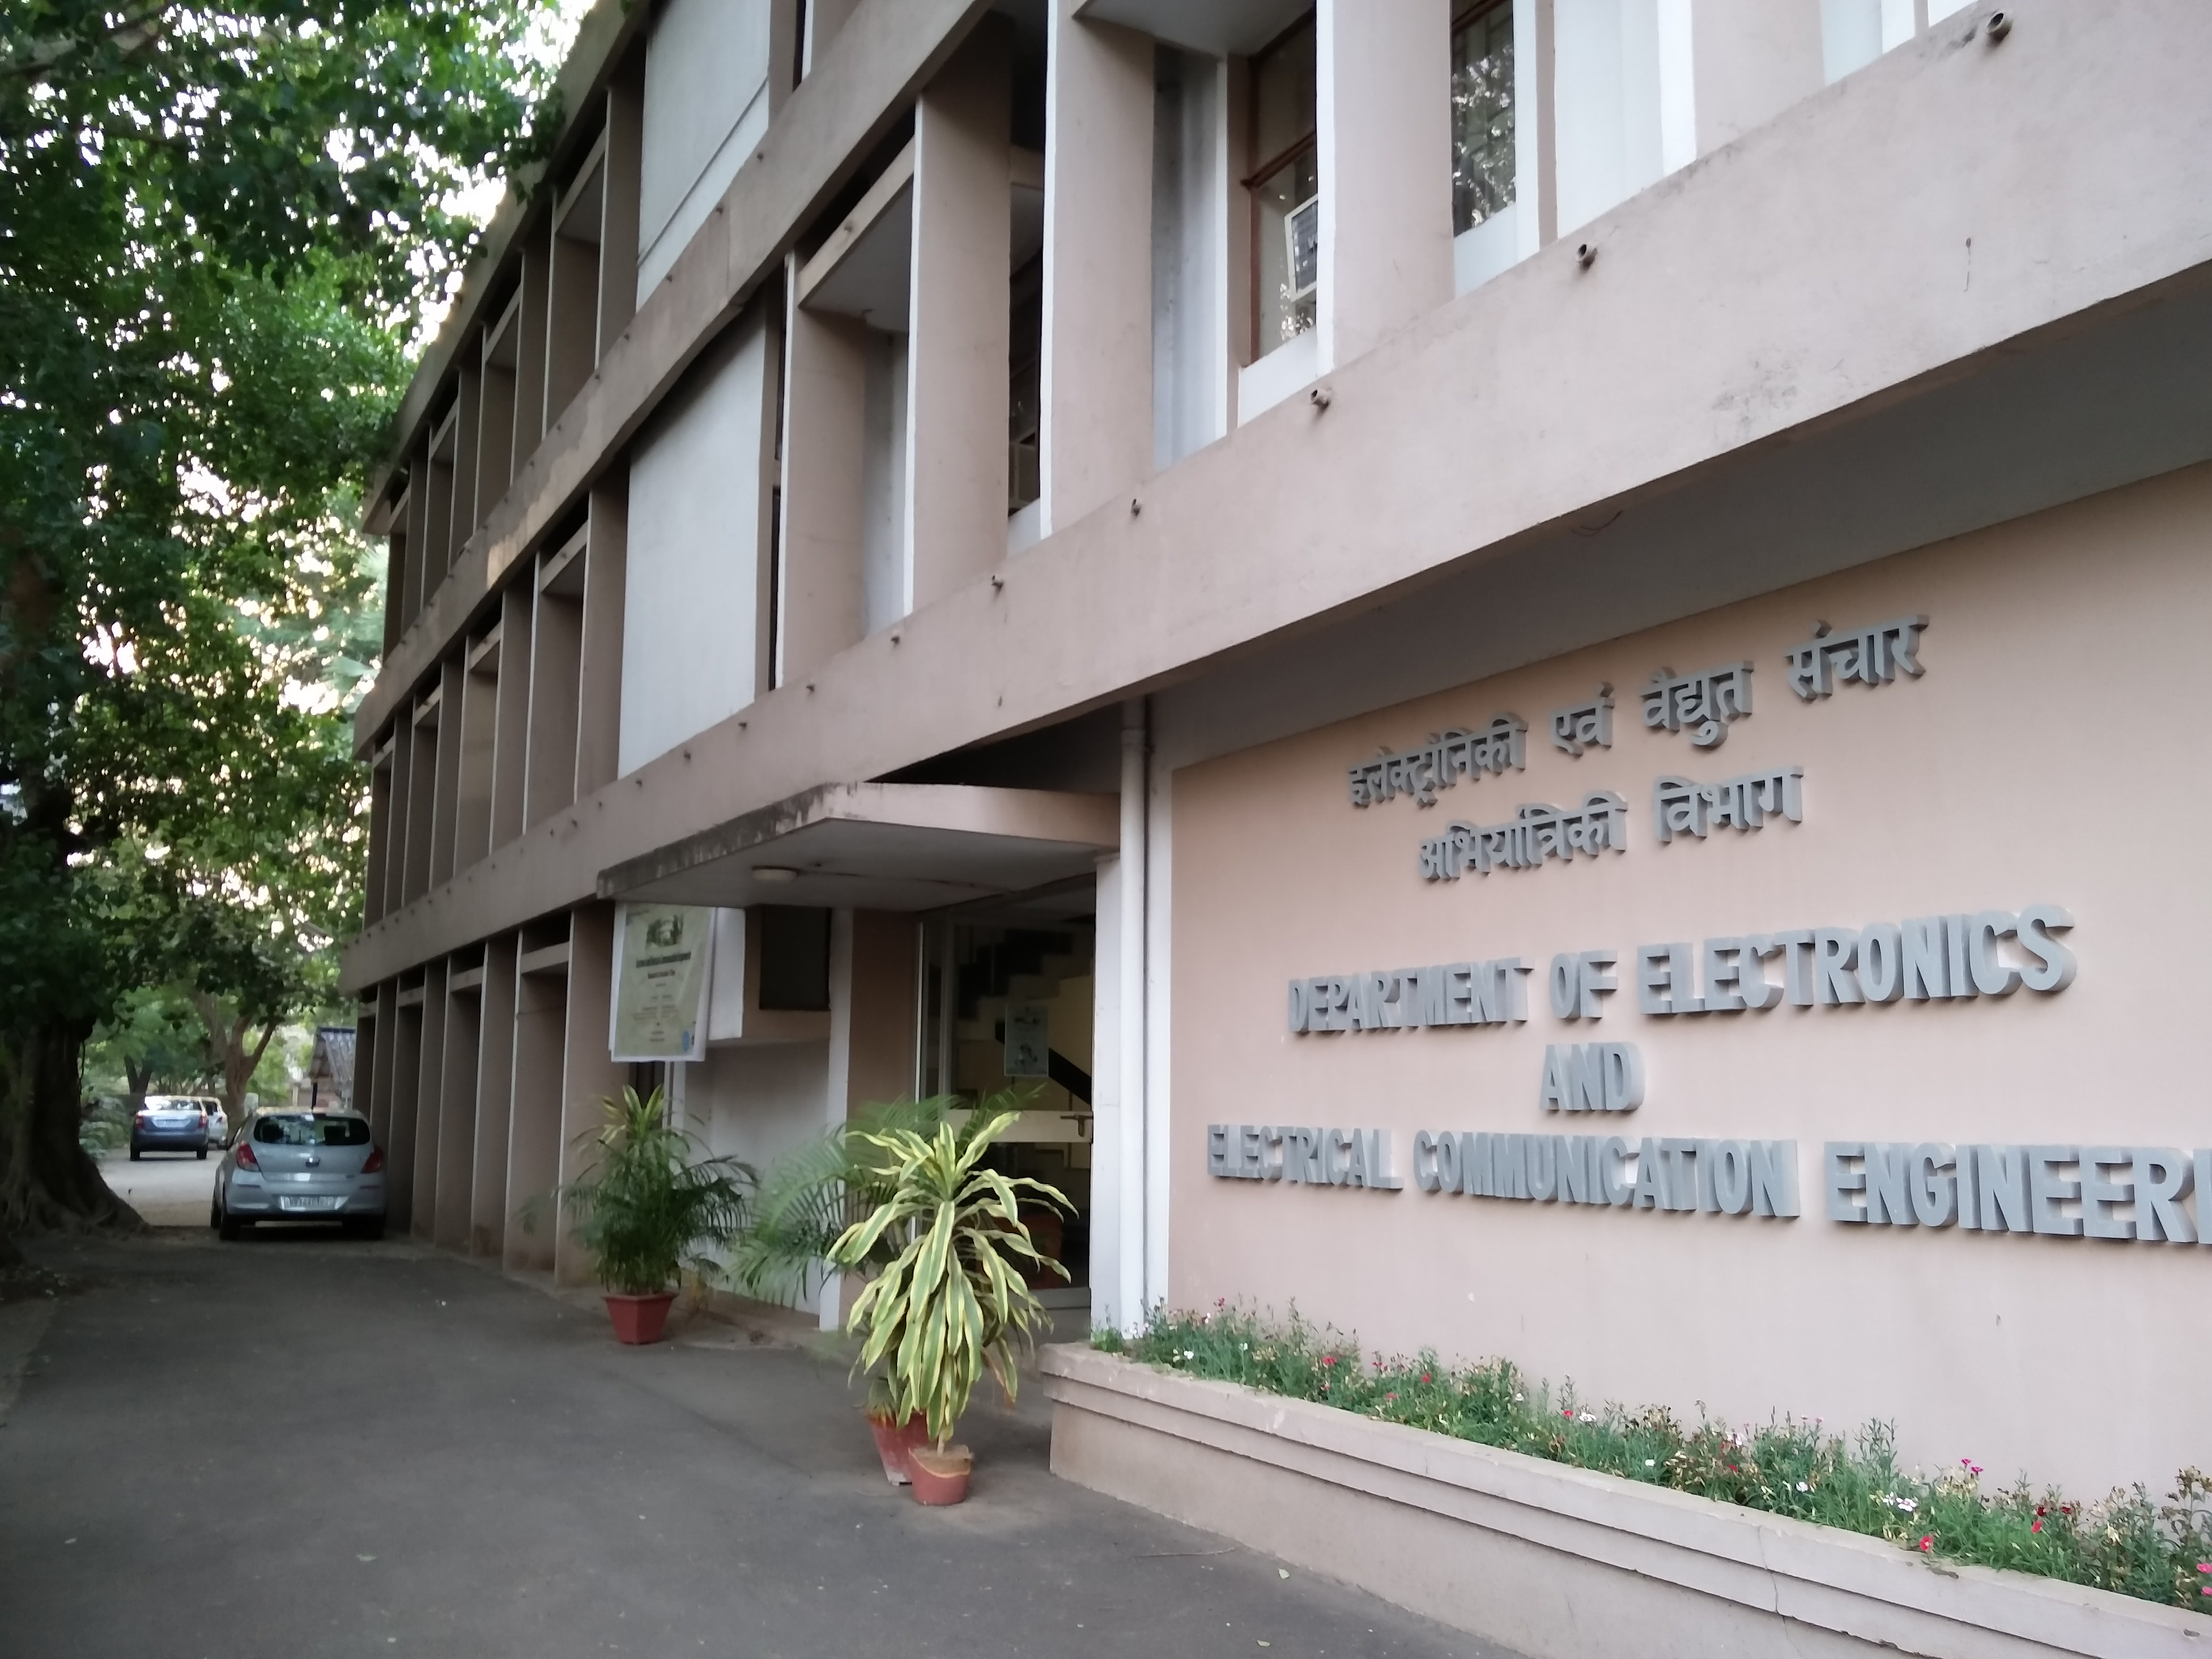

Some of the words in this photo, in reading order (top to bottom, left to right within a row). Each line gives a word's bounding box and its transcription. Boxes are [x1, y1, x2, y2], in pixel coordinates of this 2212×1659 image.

[1339, 708, 1530, 816] इलेक्ट्रोनिकी
[1408, 783, 1633, 895] अभियांत्रिकी
[1543, 676, 1616, 760] एवं
[1632, 652, 1754, 759] वैधुत
[1642, 763, 1809, 851] विभाग
[1776, 609, 1930, 710] संचार
[1279, 954, 1531, 1037] DEPARTMENT
[1545, 948, 1621, 1026] OF
[1631, 898, 2079, 1023] ELECTRONICS
[1537, 1040, 1649, 1118] AND
[1204, 1117, 1406, 1196] ELECTRICAL
[1405, 1125, 1804, 1226] COMMUNICATION
[1821, 1136, 2209, 1250] ENGINEERI